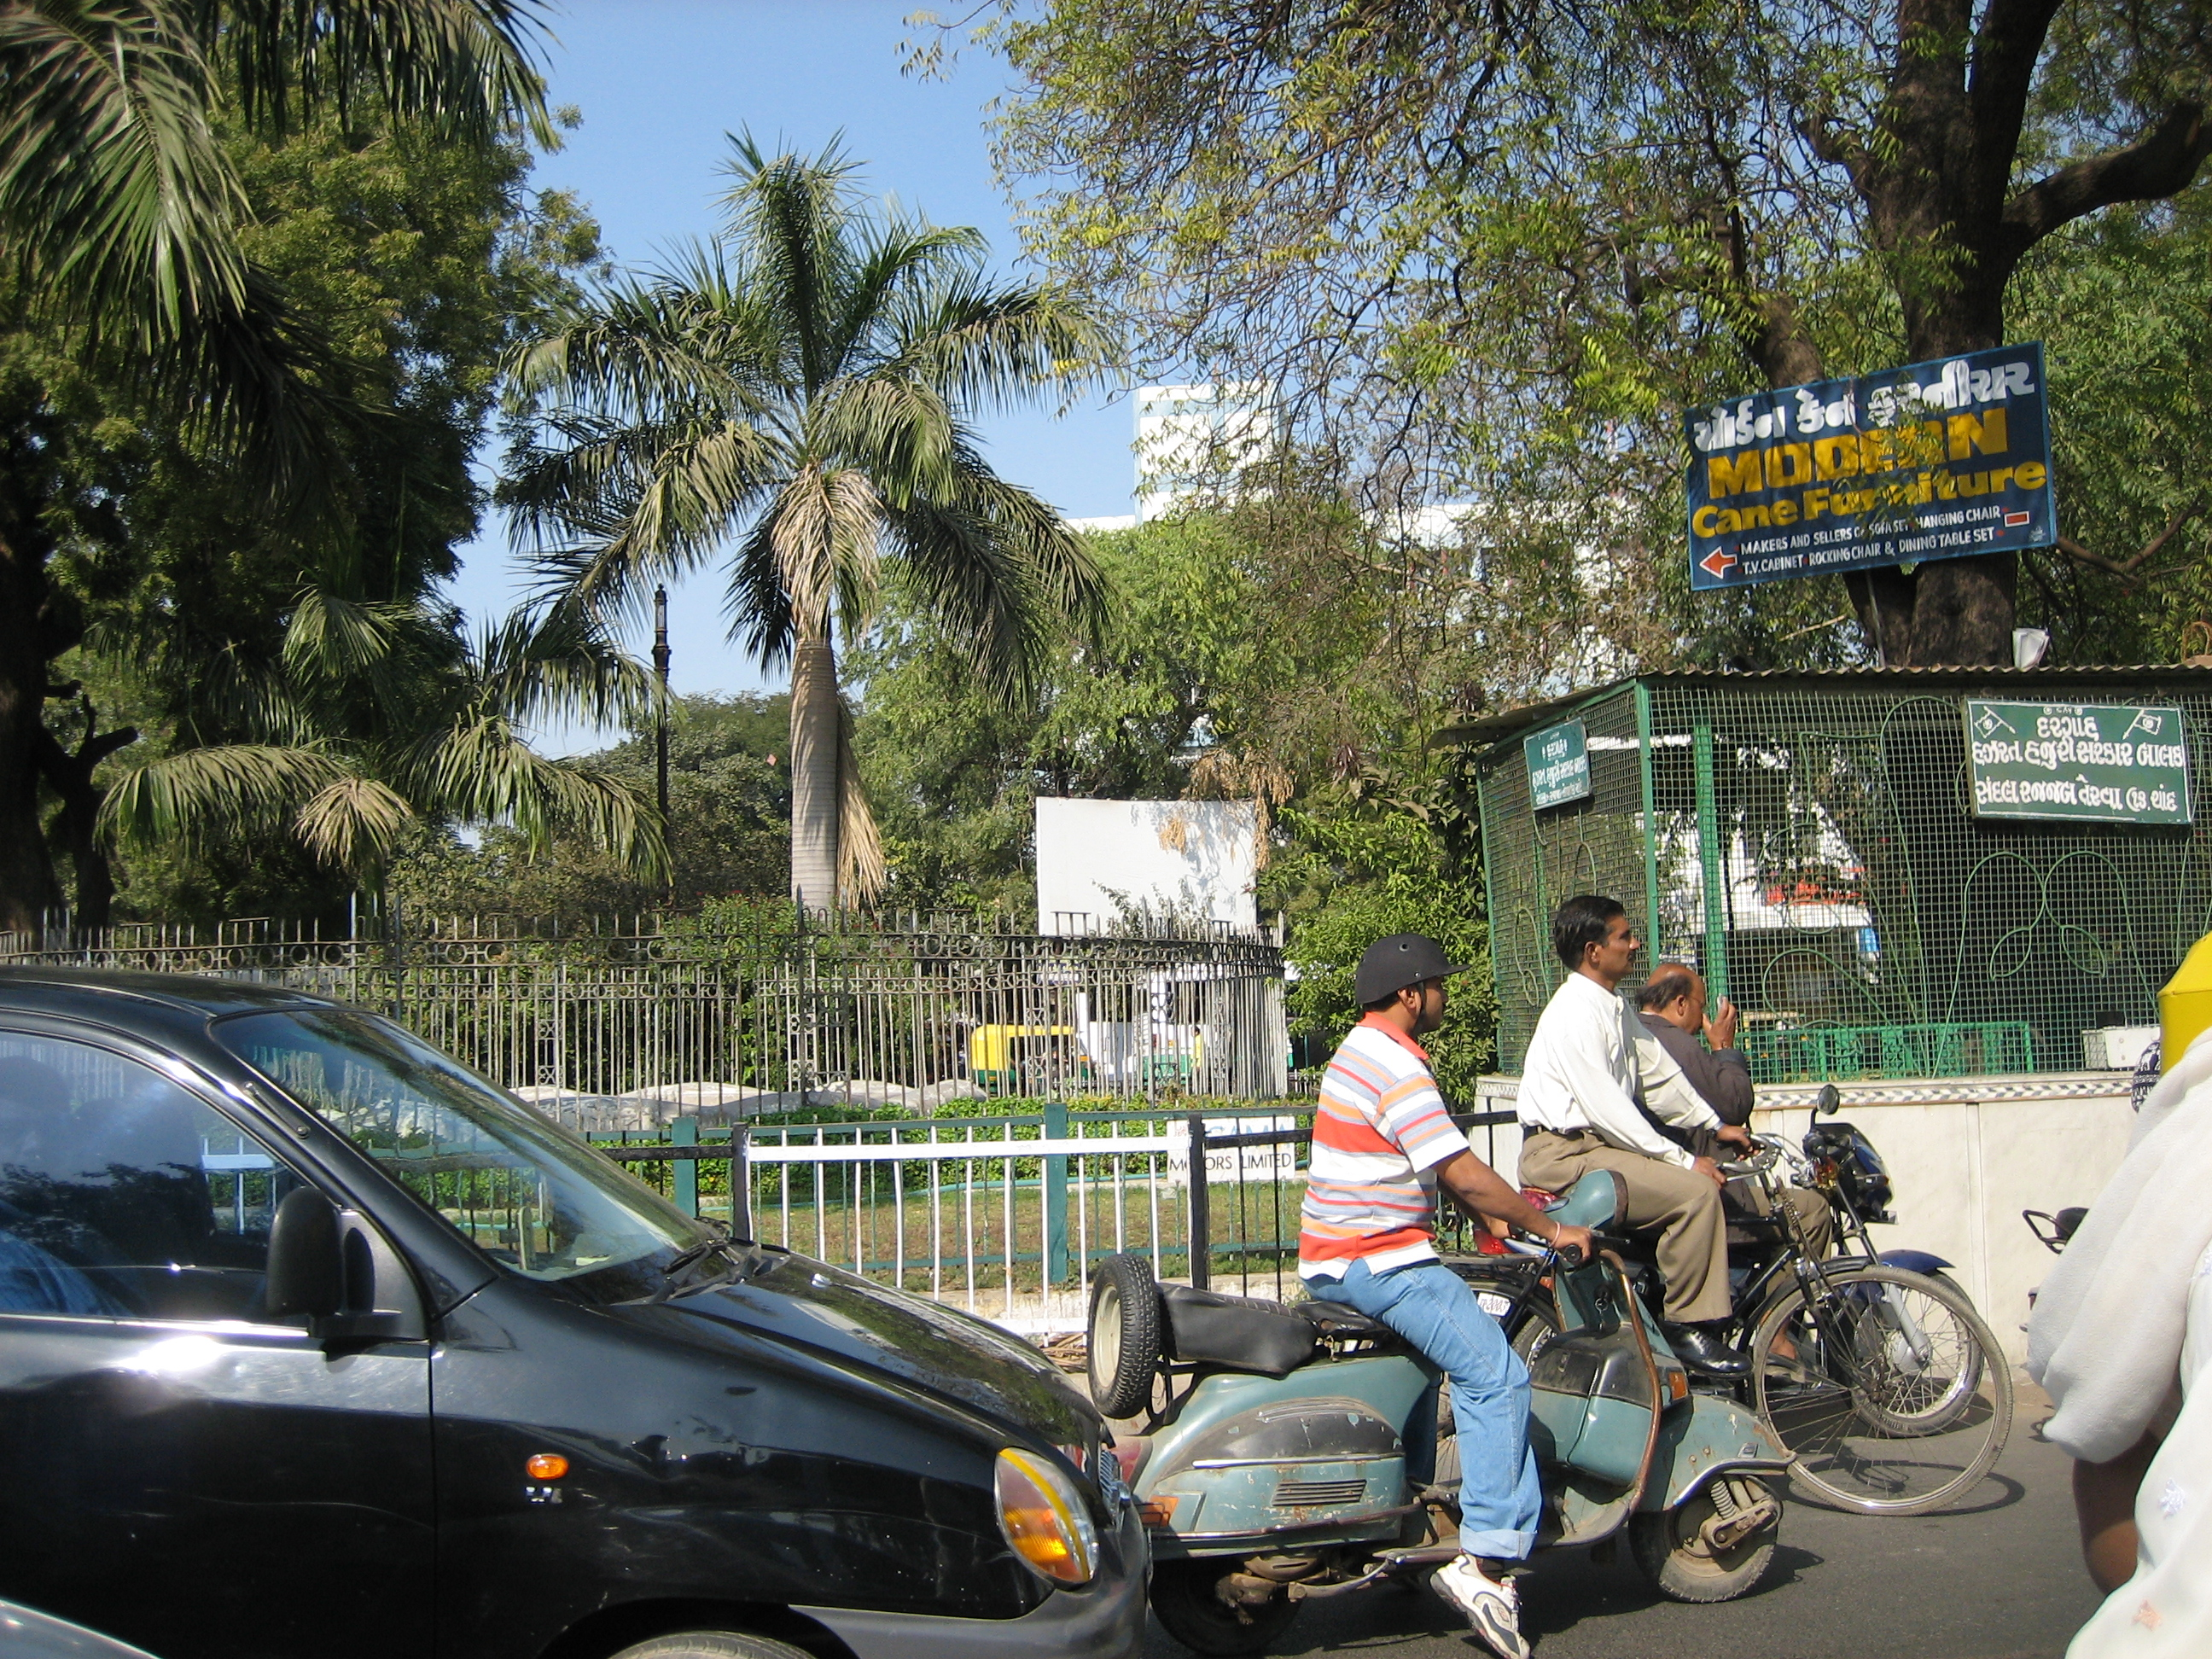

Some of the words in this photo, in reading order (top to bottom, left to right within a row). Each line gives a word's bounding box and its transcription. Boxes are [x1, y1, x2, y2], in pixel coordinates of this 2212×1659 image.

[1797, 393, 1855, 428] કત
[1860, 361, 2023, 422] કરનાચર
[1703, 428, 1949, 498] MODEN
[1804, 460, 2045, 519] Furniture
[1692, 496, 1795, 534] Cane
[1913, 500, 2005, 534] HANGINGCHAIR
[1743, 532, 1813, 552] MAKERS AND